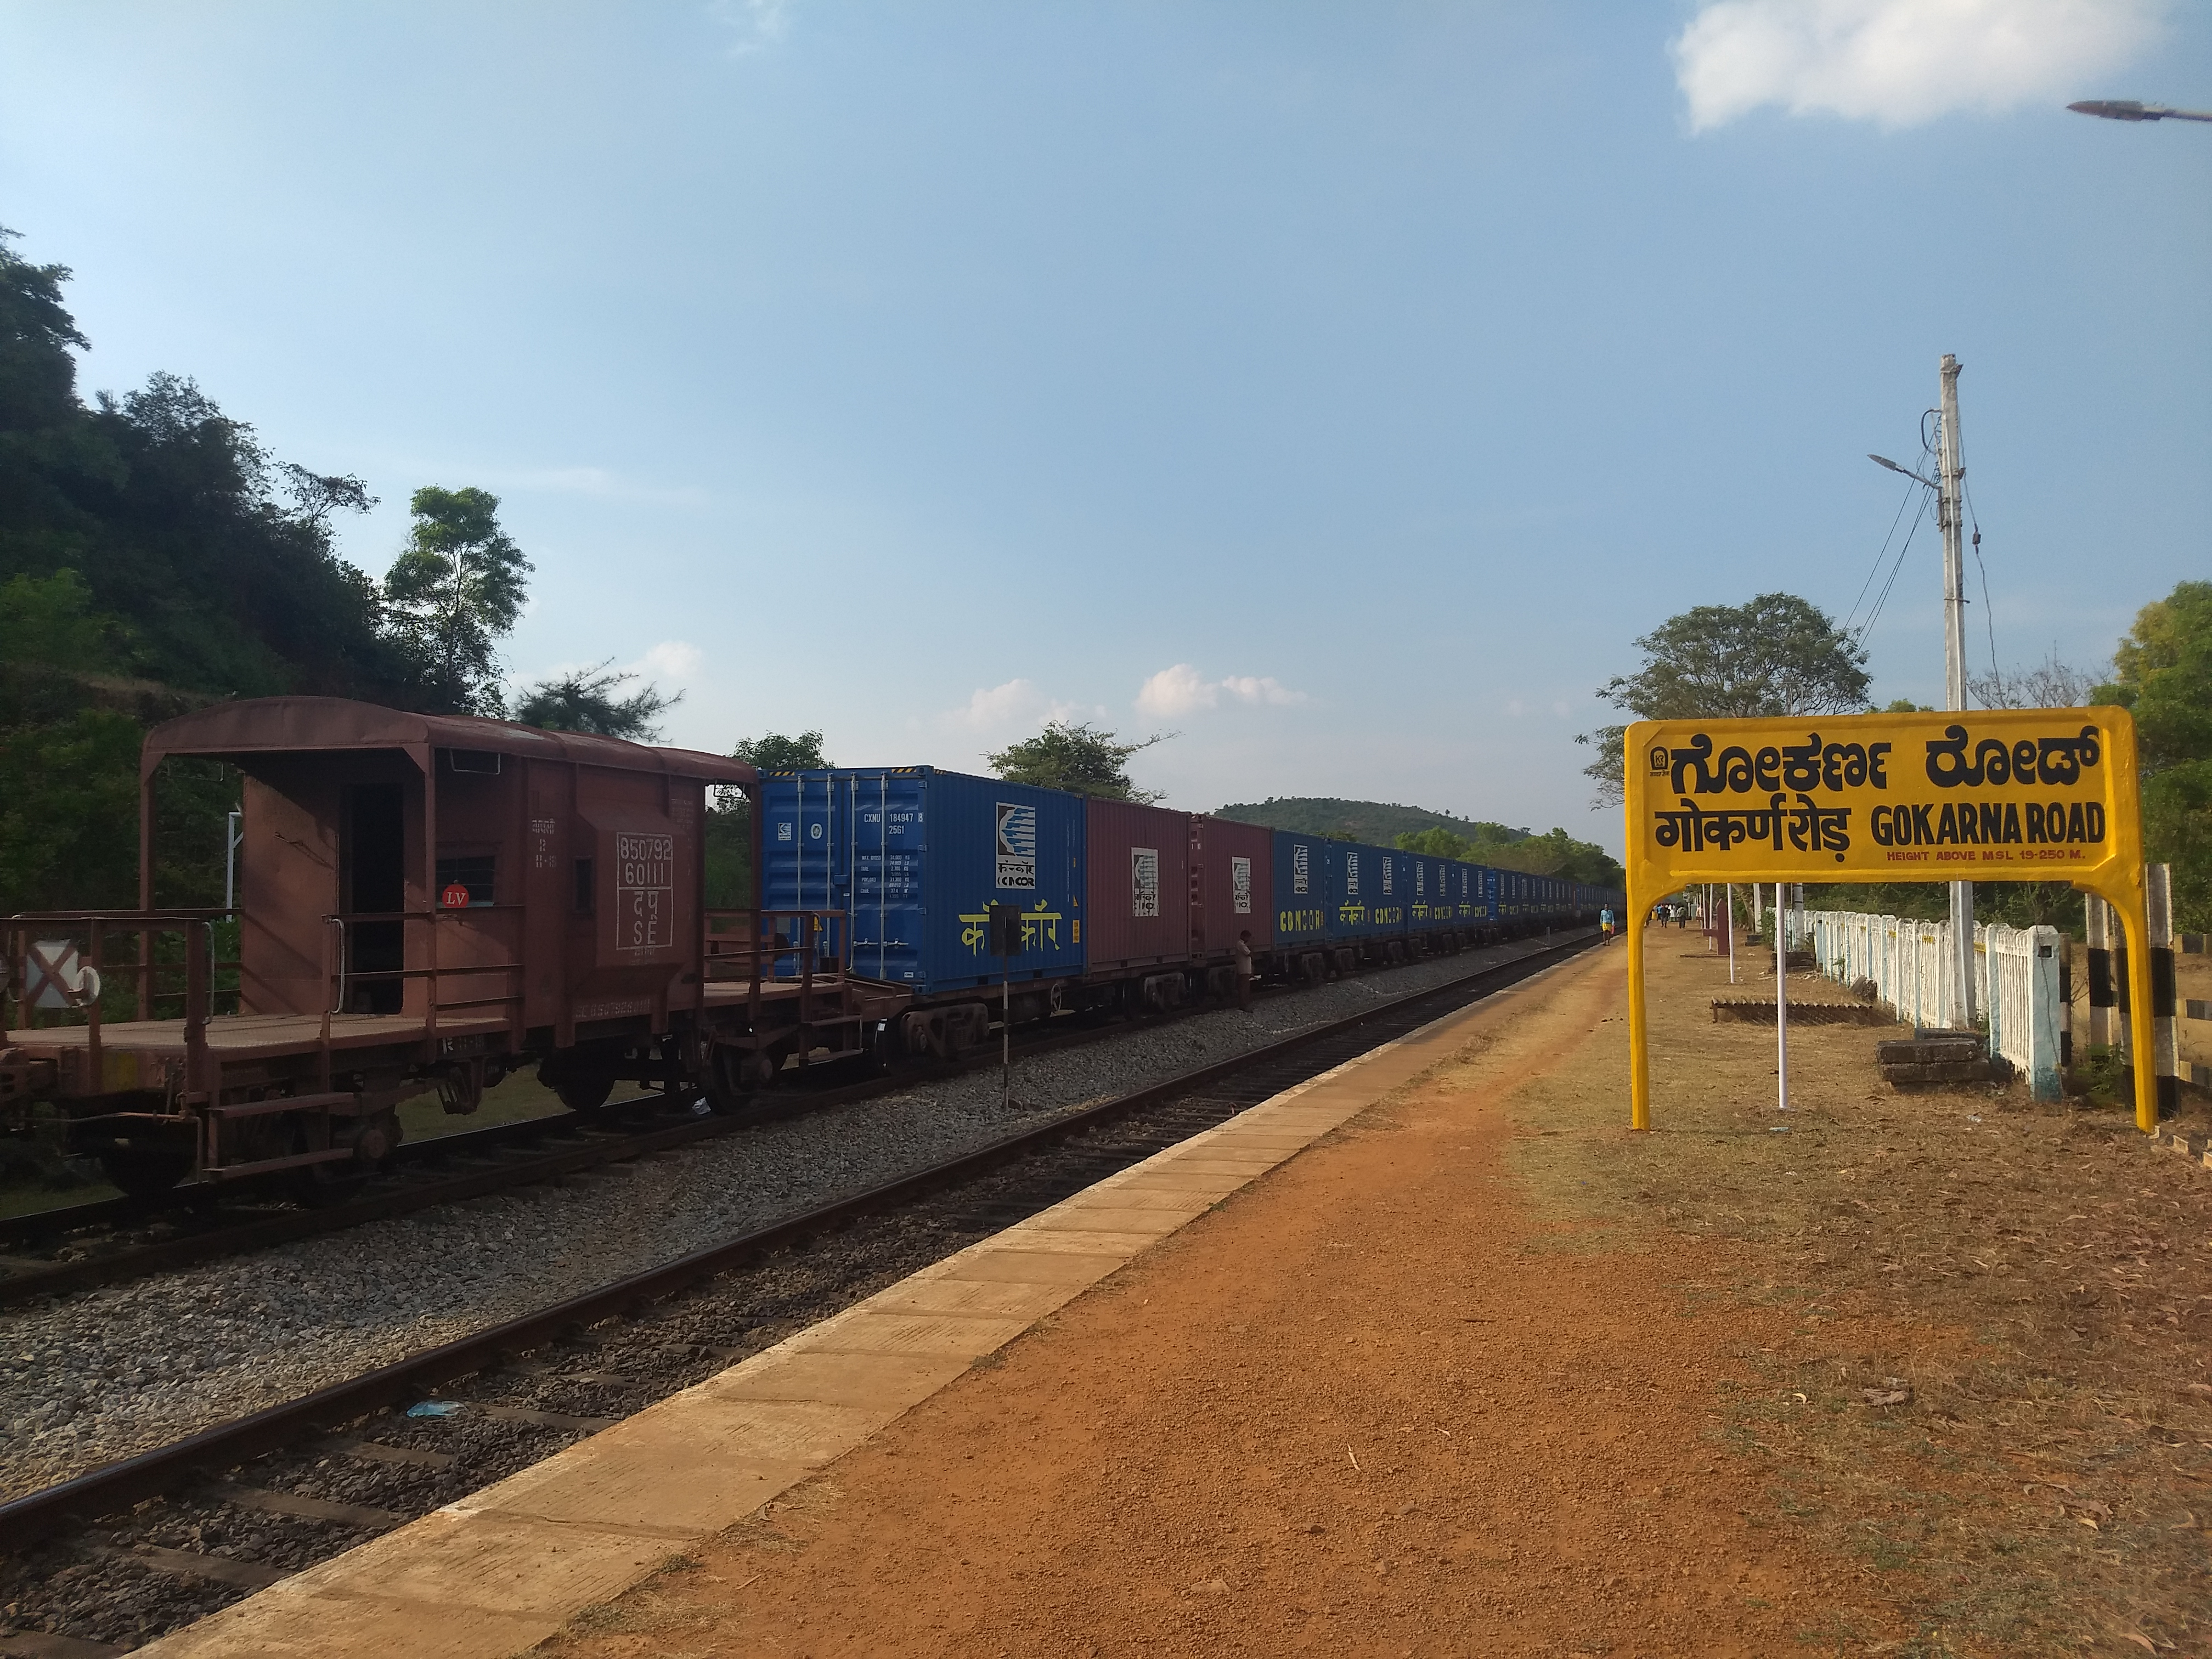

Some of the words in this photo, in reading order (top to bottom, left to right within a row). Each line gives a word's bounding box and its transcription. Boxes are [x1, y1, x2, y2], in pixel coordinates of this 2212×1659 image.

[1664, 725, 1895, 797] ಗೋಕರ್ಣ
[1916, 714, 2106, 790] ರೋಡ್
[1646, 785, 1855, 865] गोकर्णरोड़
[1869, 795, 2027, 851] GOKARNA
[2021, 798, 2111, 847] ROAD
[1883, 847, 1931, 864] HEIGHT
[1933, 847, 1979, 864] ABOVE
[1977, 847, 2016, 864] MSL
[2016, 846, 2087, 862] 19-250M.